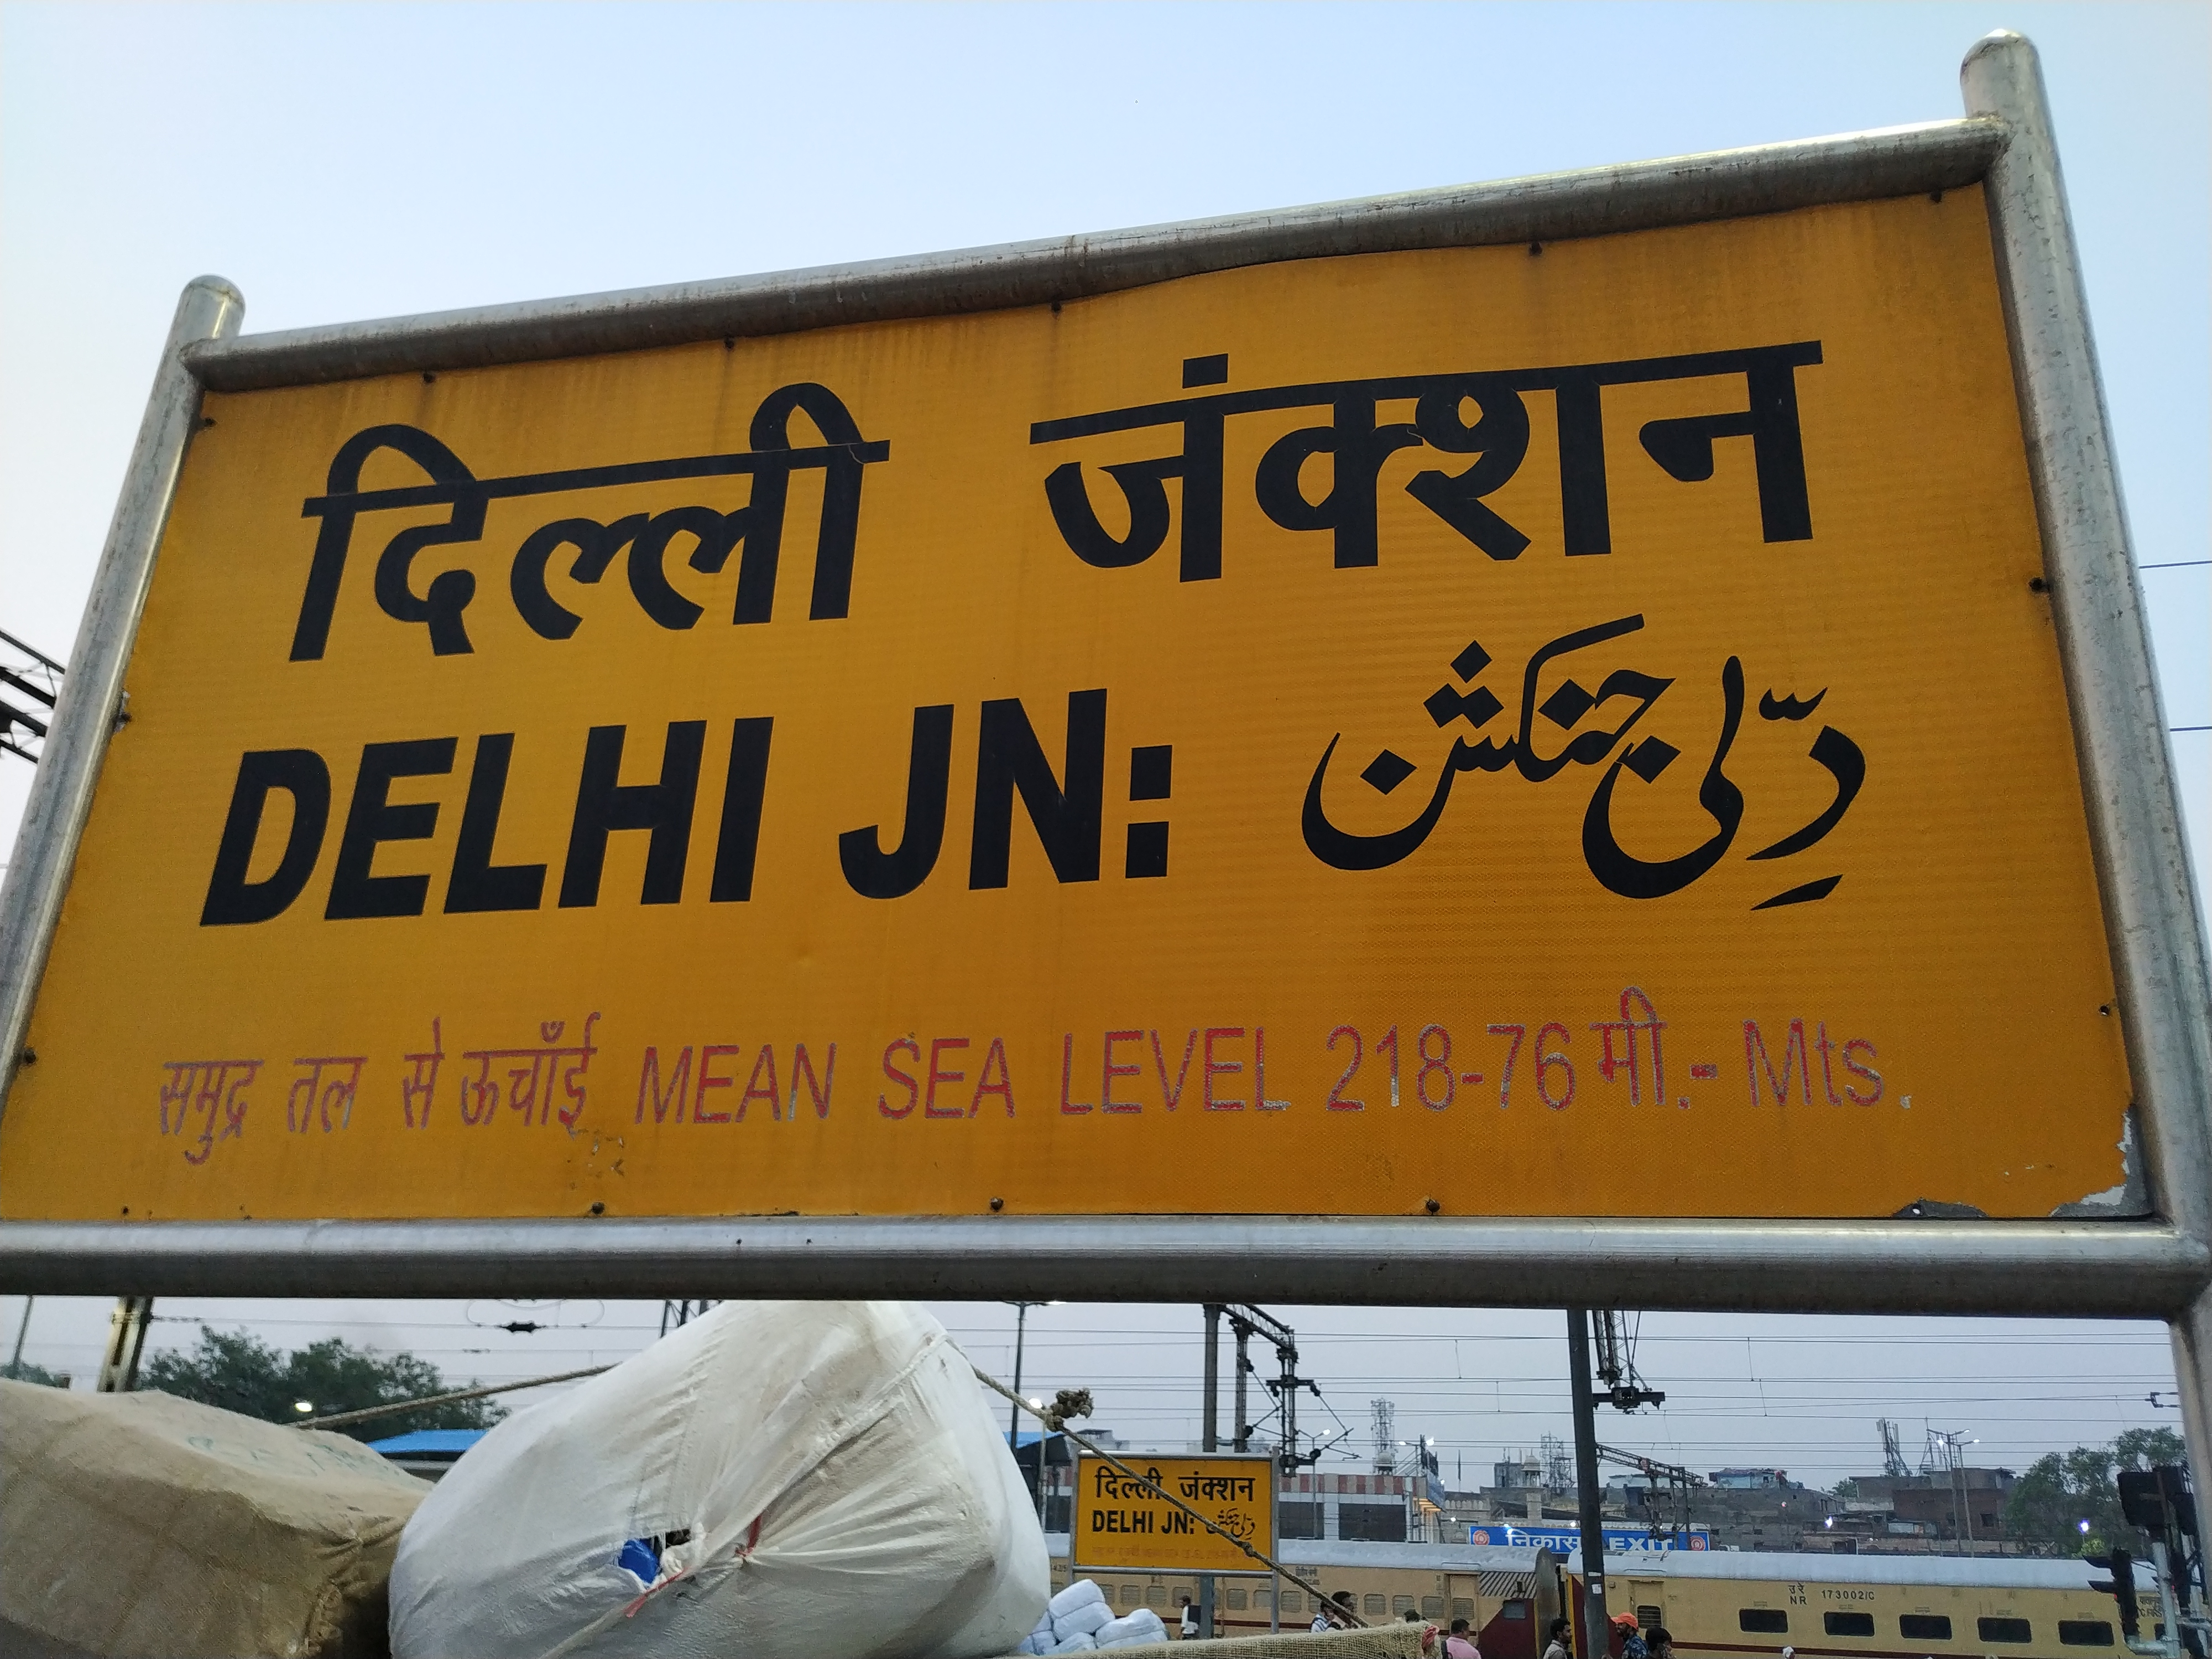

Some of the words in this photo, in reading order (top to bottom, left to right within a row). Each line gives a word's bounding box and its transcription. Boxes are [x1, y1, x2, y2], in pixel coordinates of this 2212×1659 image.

[1029, 330, 1826, 588] जंक्शन
[280, 373, 895, 661] दिल्ली
[192, 710, 778, 931] DELHI
[825, 670, 1195, 920] JN:
[149, 1050, 269, 1176] समुद्र
[276, 1048, 368, 1143] तल
[392, 1005, 452, 1130] से
[451, 1005, 606, 1142] ऊचाँई
[627, 1031, 842, 1127] MEAN
[872, 1028, 1024, 1125] SEA
[1050, 1018, 1296, 1123] LEVEL
[1312, 977, 1672, 1119] 218-76 मी
[1737, 1006, 1891, 1116] Mts
[1088, 1504, 1157, 1537] DELHI
[1093, 1463, 1168, 1501] दिल्ली
[1156, 1503, 1203, 1541] उ।पः
[1174, 1463, 1256, 1505] जंक्शन